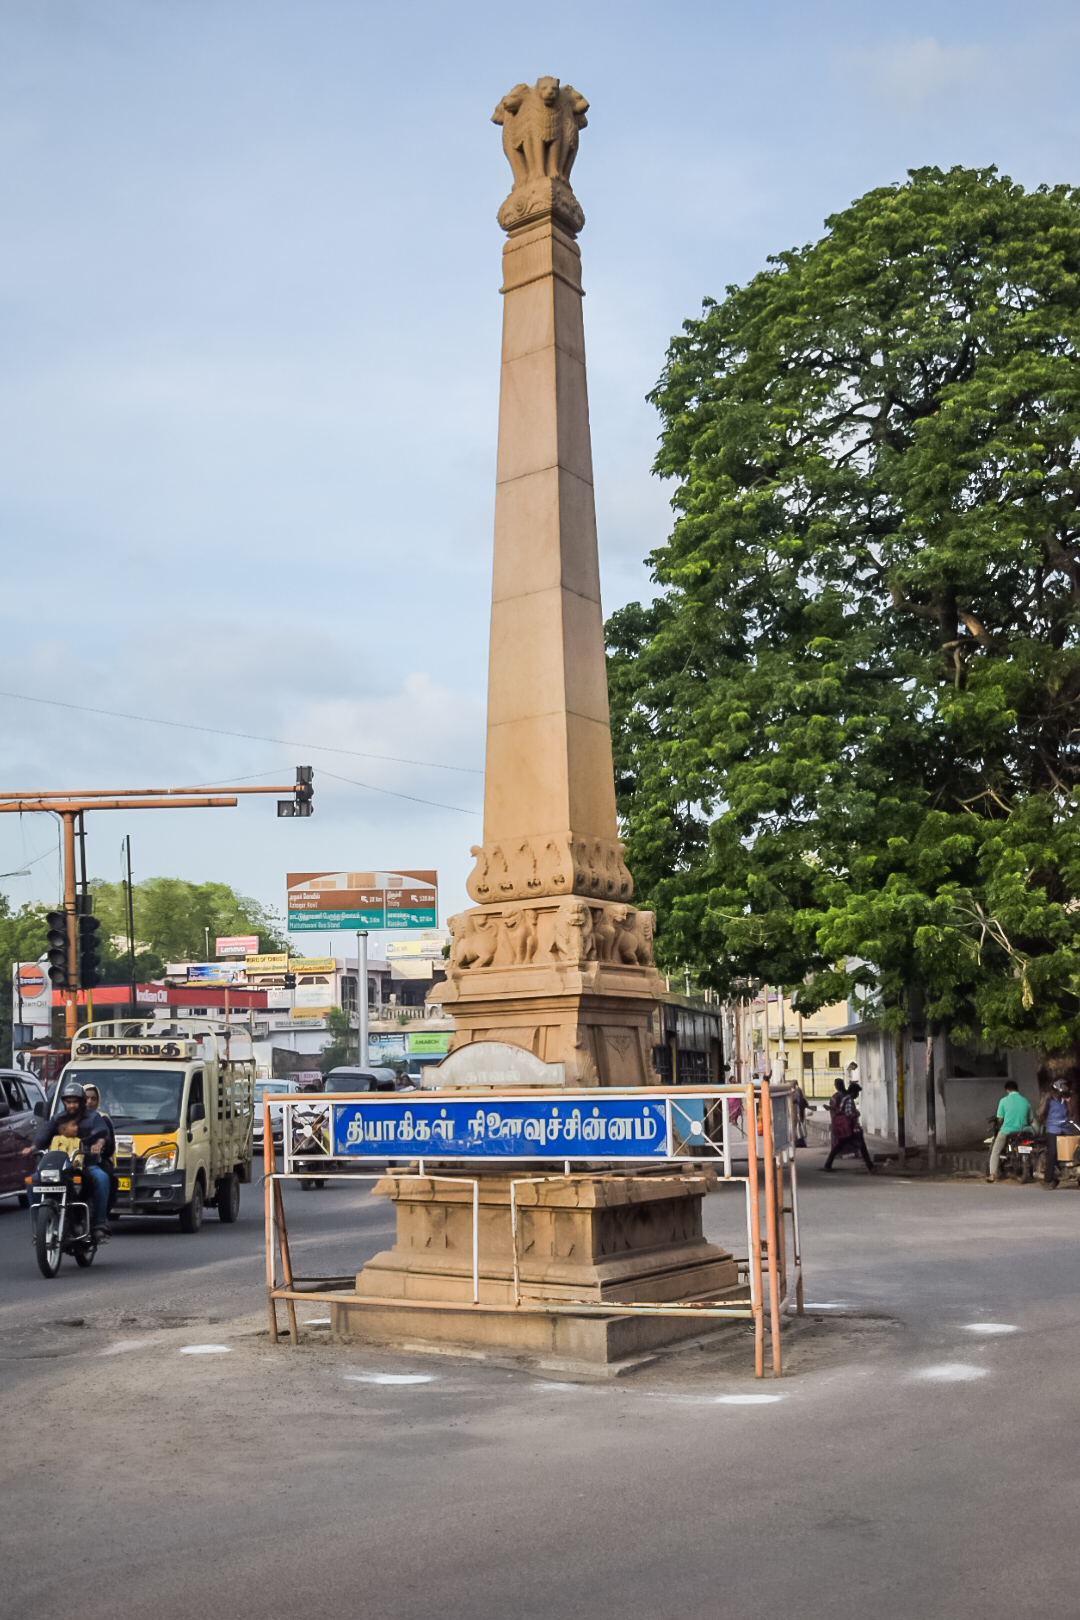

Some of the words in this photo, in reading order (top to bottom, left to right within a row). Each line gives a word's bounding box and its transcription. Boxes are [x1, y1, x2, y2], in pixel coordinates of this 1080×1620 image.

[303, 897, 321, 913] Real
[71, 1034, 185, 1061] அமராவதி
[340, 1103, 459, 1149] தியாகிகள்
[463, 1099, 658, 1149] நினைவுச்சின்னம்A